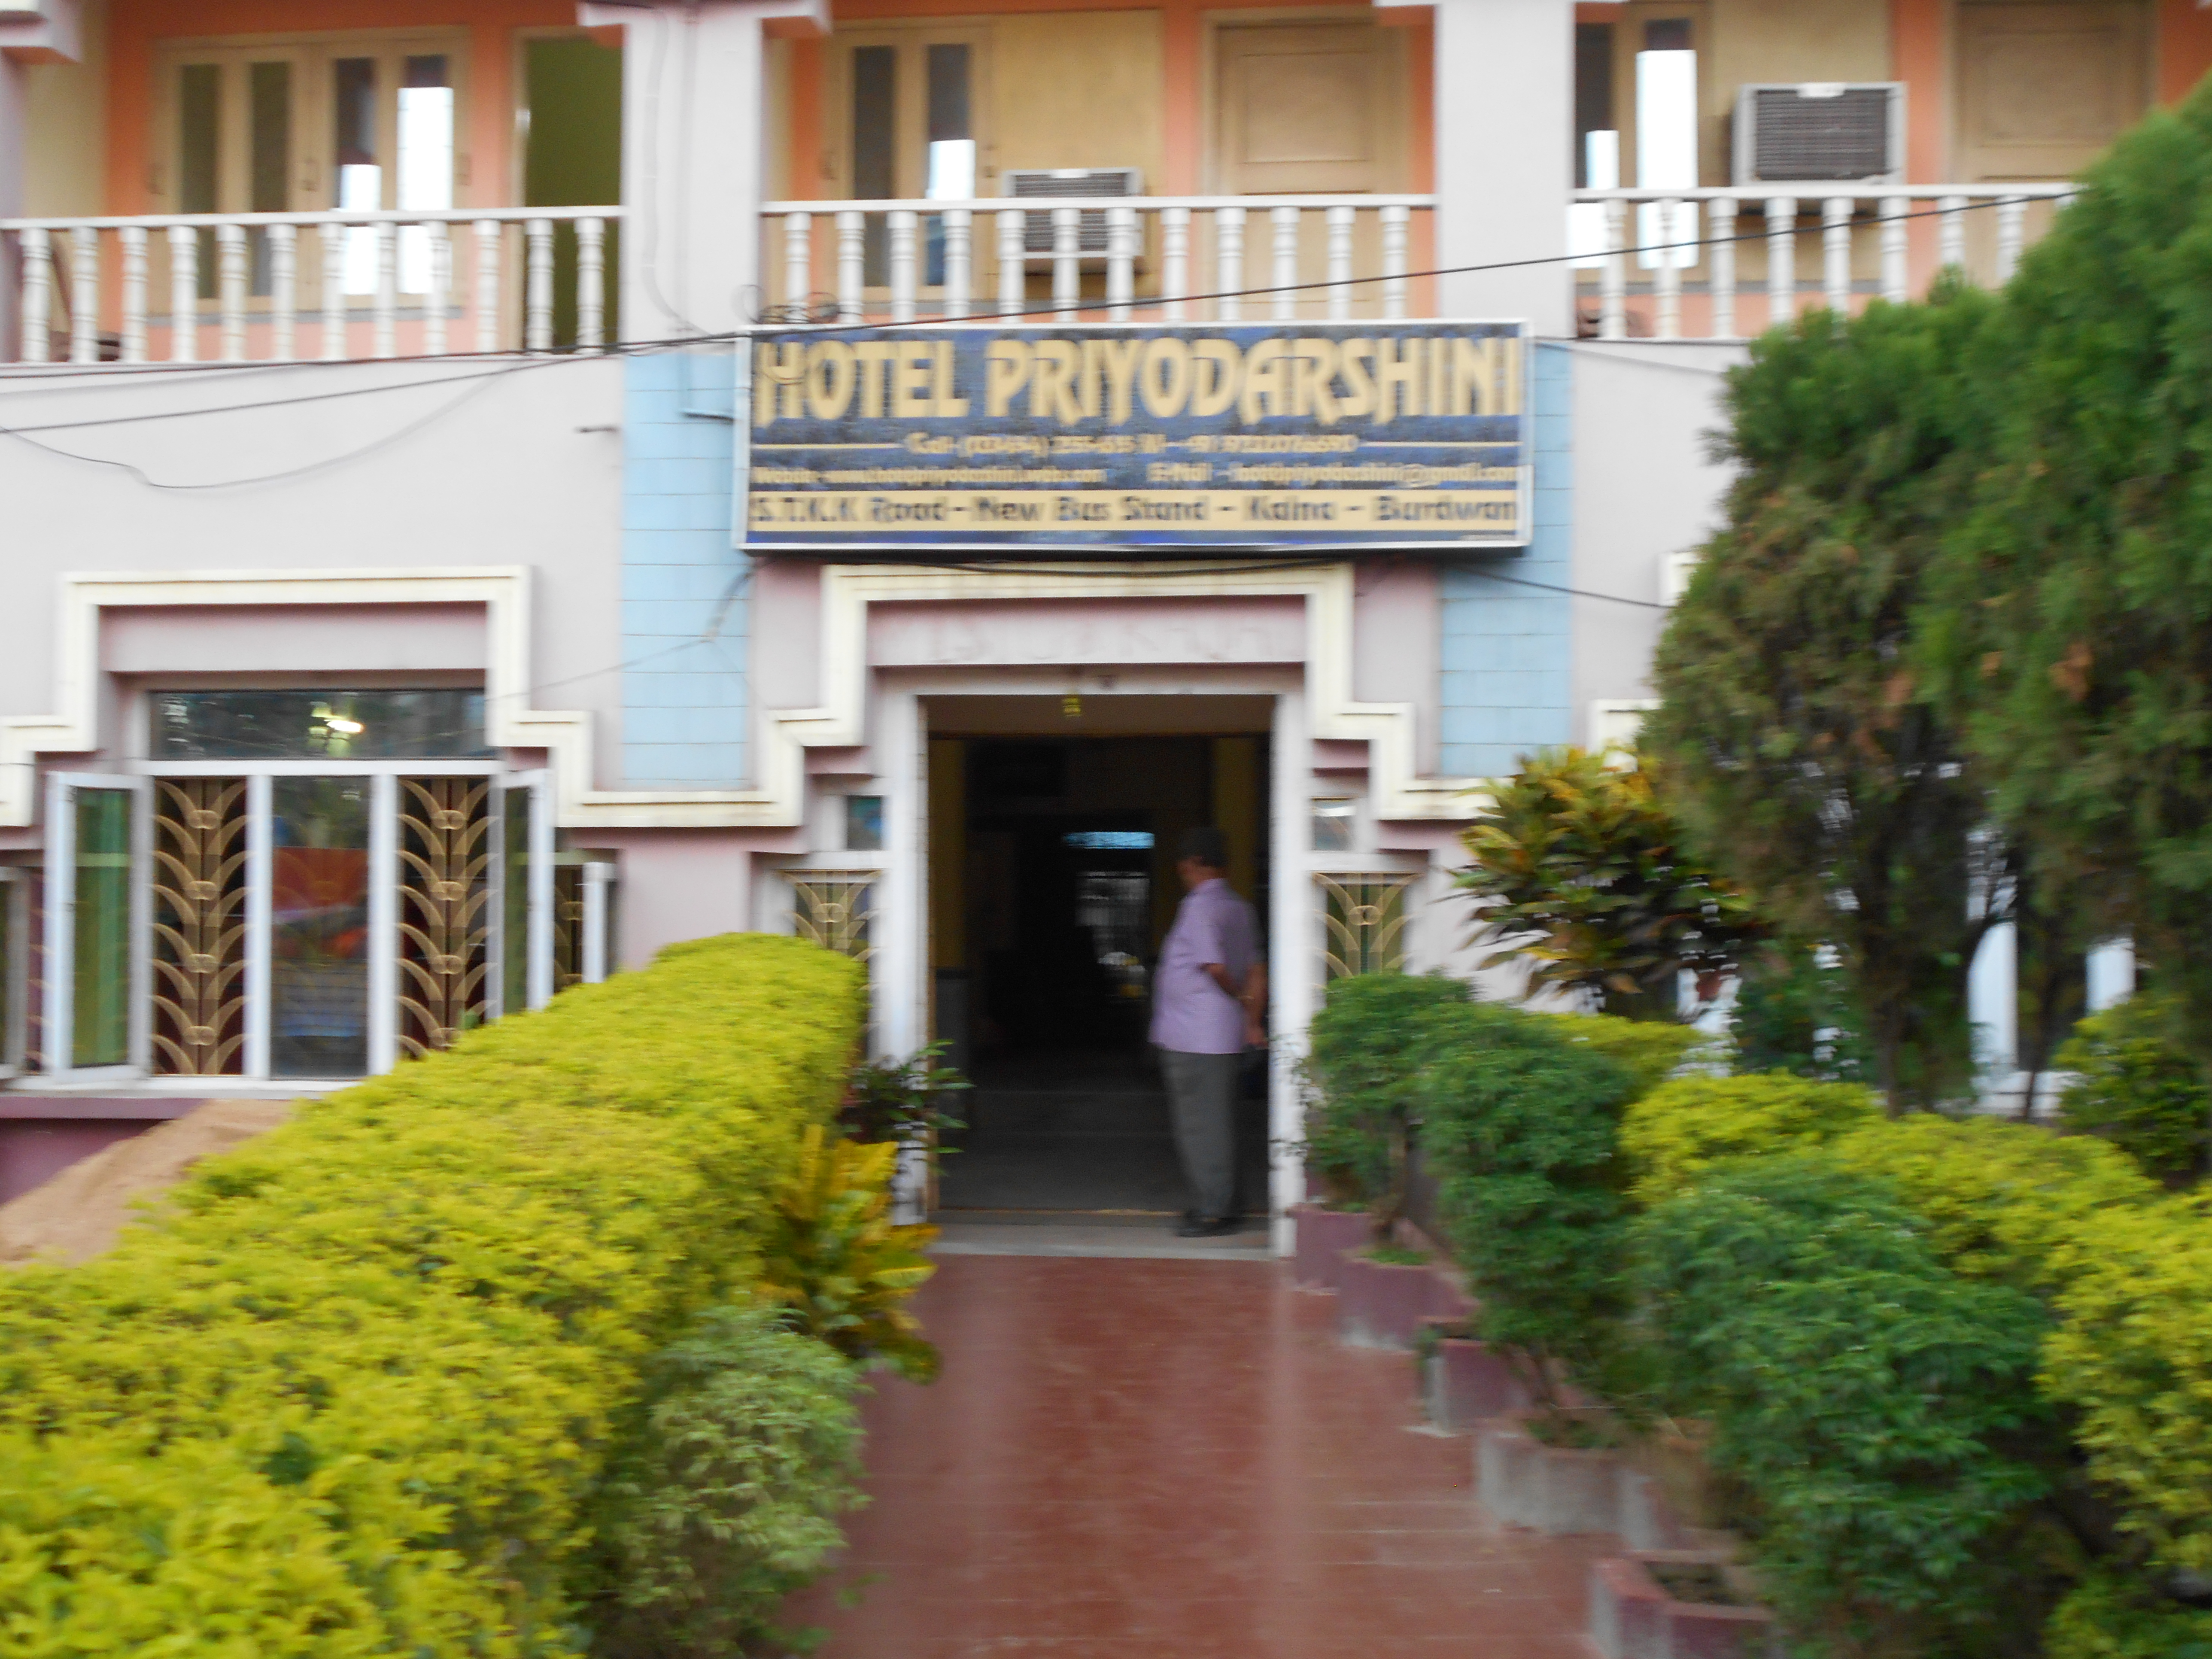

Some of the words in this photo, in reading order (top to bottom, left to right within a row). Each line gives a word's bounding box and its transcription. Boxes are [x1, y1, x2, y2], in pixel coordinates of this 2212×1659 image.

[747, 331, 970, 433] HOTEL
[981, 333, 1530, 435] PRIYODARSHINI
[969, 484, 1054, 527] New
[1048, 489, 1115, 529] Bus
[1109, 483, 1215, 525] Stant
[1376, 491, 1524, 526] Burdwan